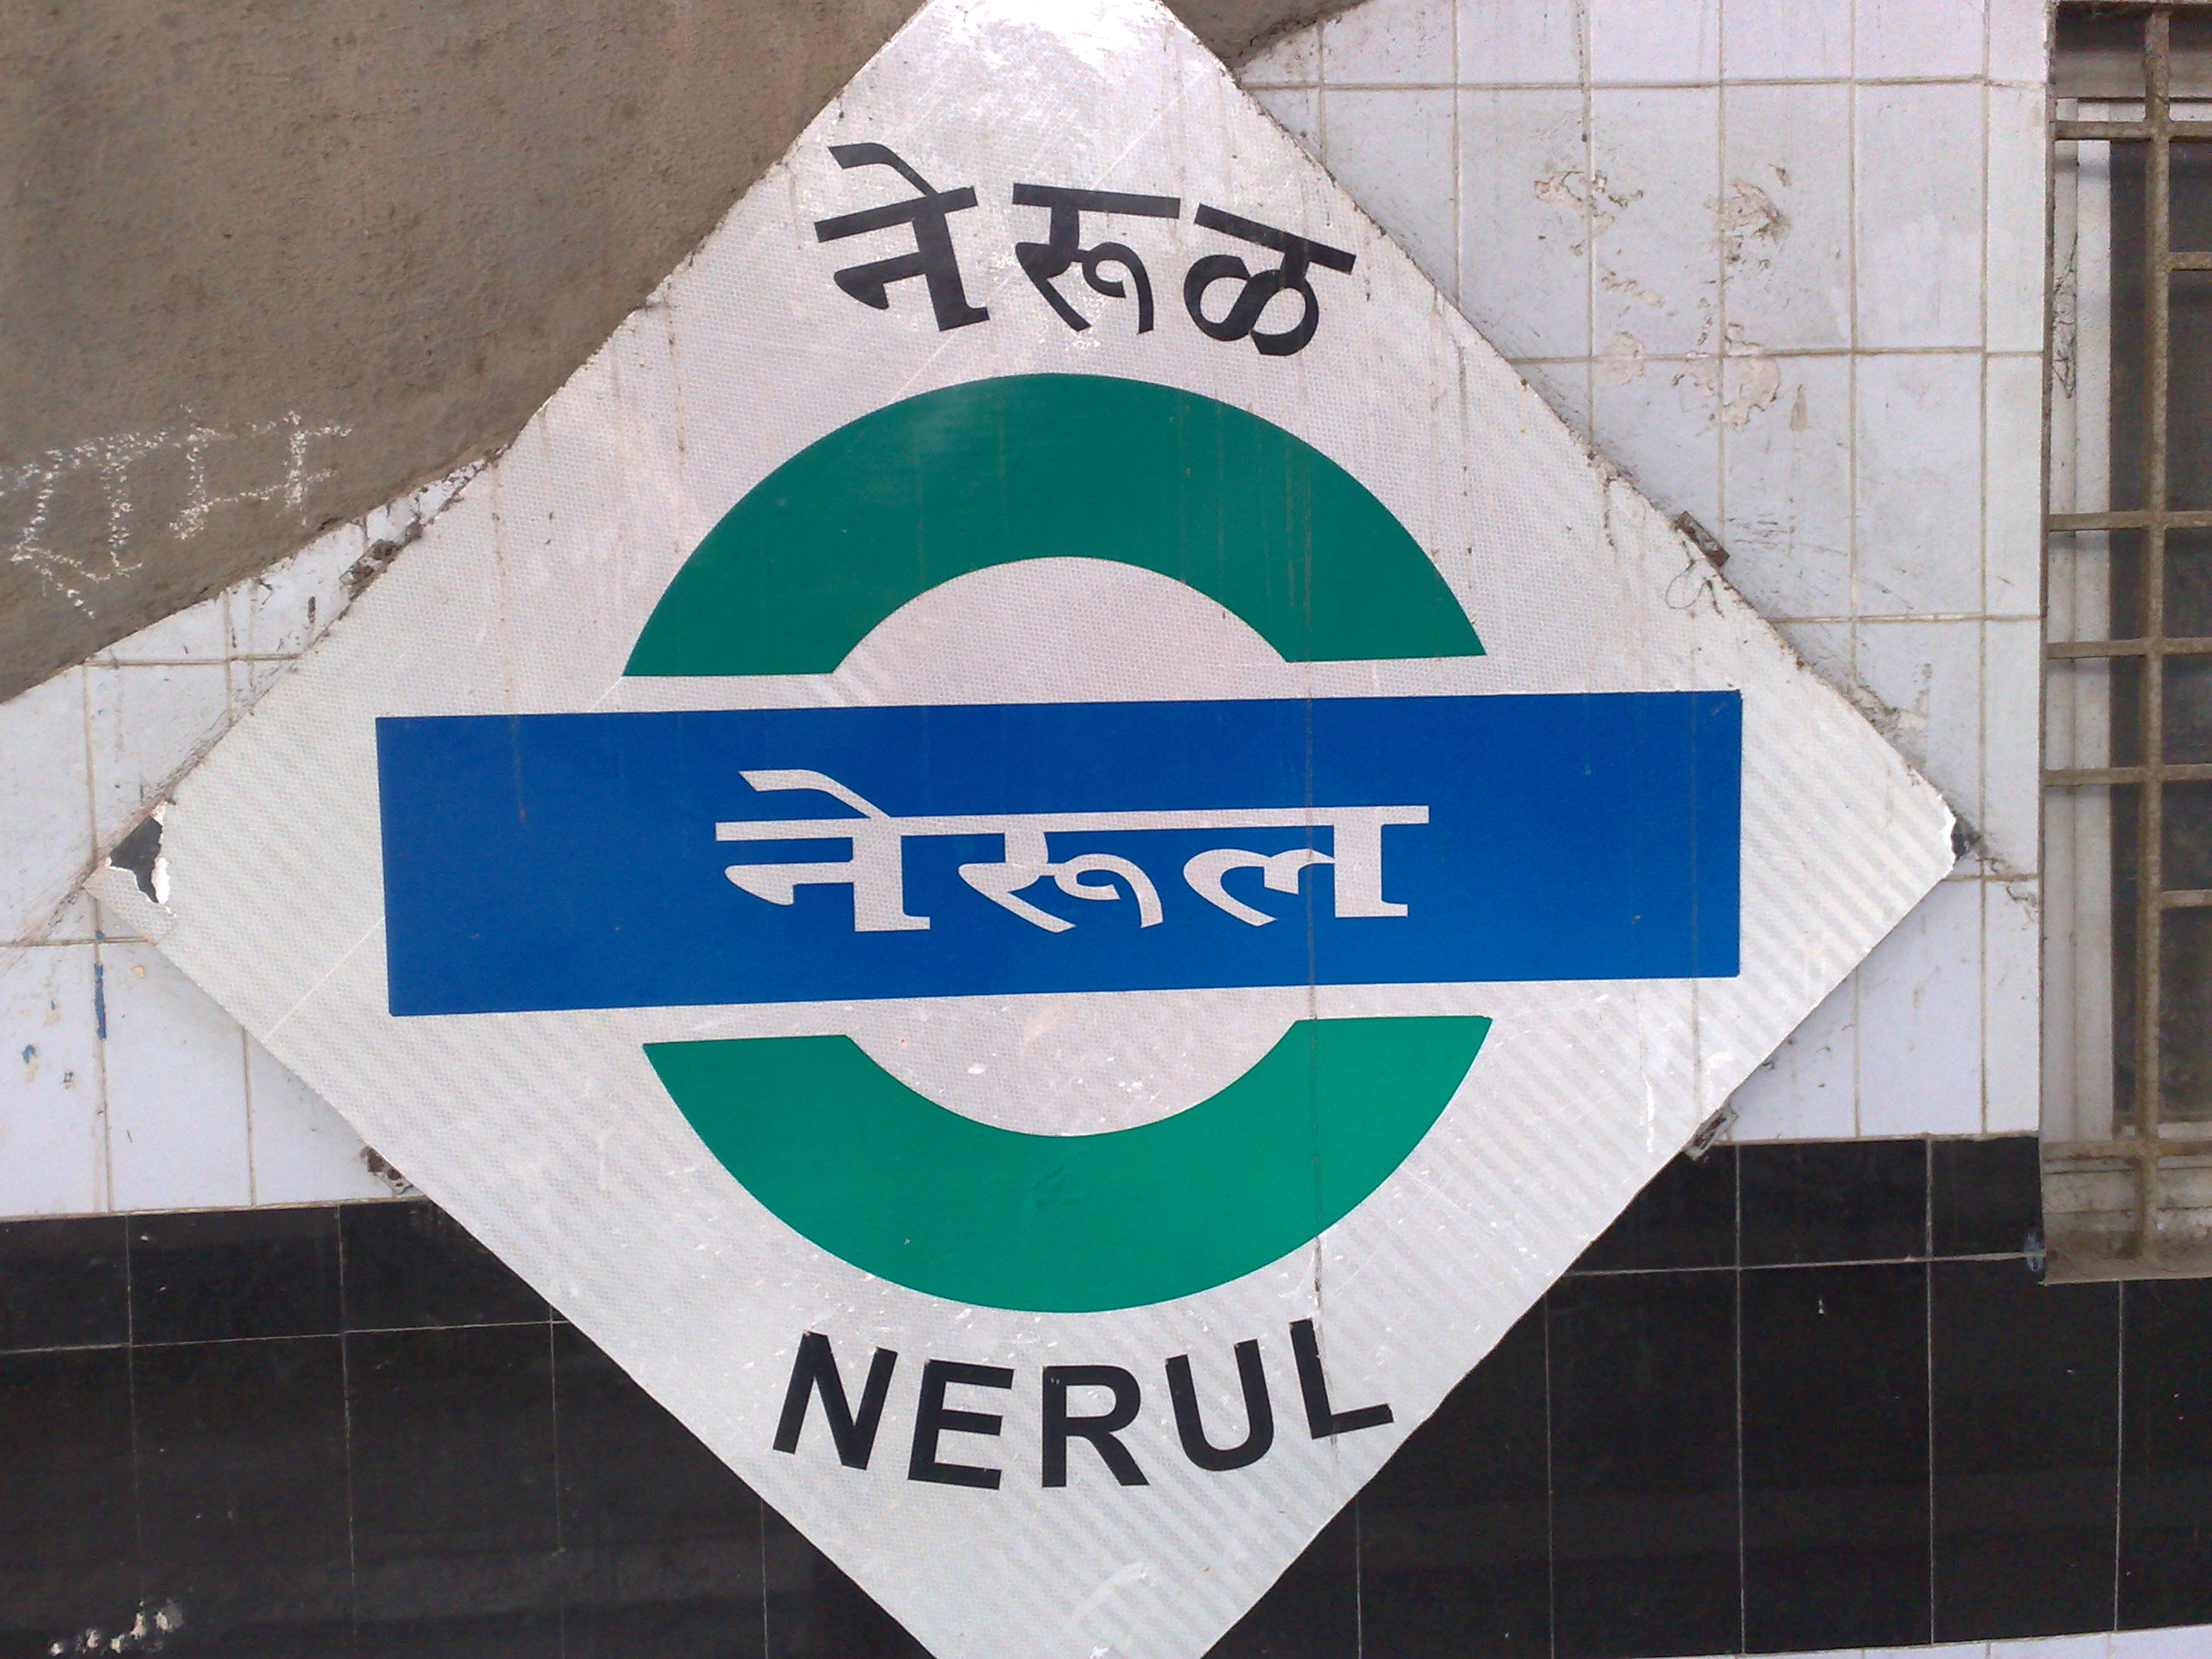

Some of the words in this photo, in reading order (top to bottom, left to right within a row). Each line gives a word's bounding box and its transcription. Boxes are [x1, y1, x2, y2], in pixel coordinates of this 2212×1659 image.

[802, 123, 1365, 367] नेरूळ
[691, 753, 1437, 946] नेरूल
[763, 1306, 1401, 1497] NERUL